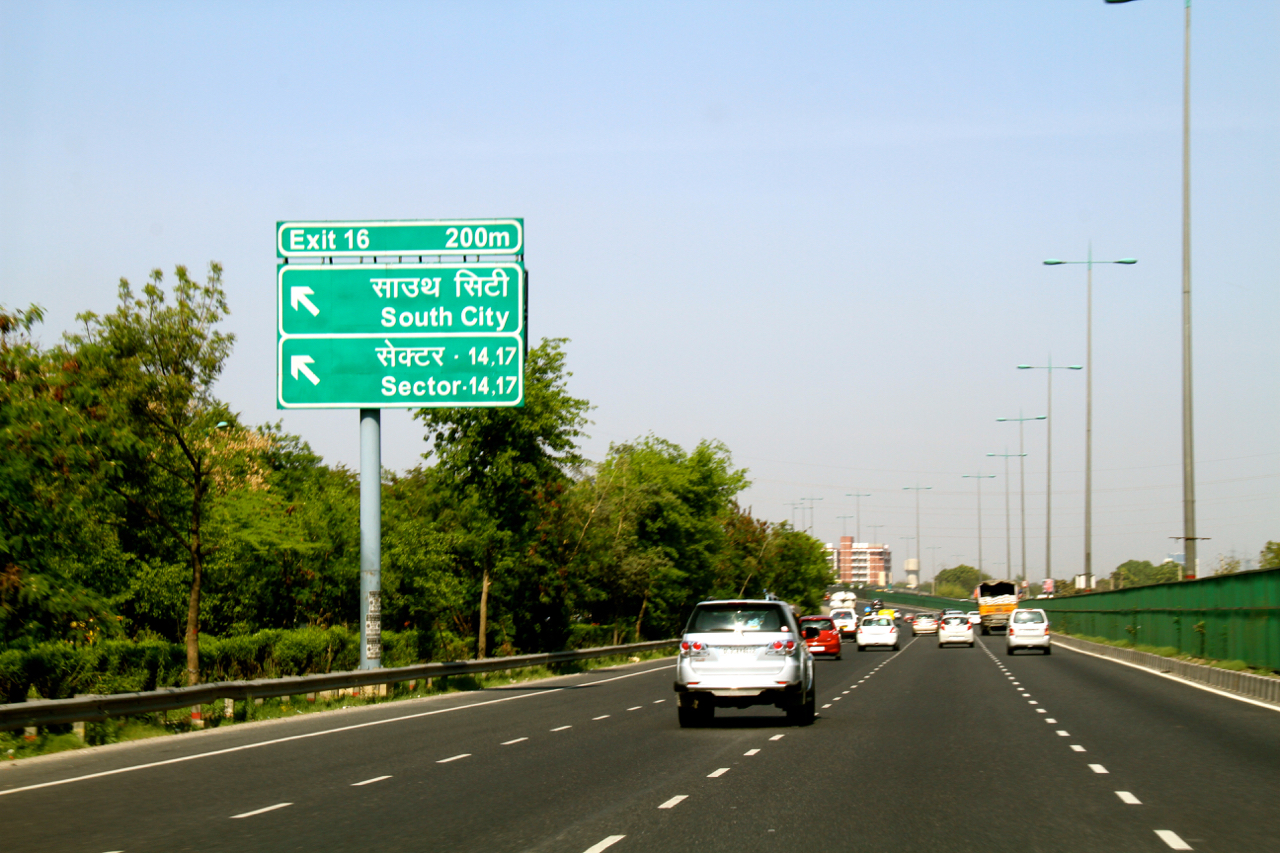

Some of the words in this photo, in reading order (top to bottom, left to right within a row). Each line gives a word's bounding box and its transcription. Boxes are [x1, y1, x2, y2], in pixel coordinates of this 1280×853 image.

[285, 225, 338, 254] Exit
[342, 225, 373, 253] 16
[443, 223, 514, 250] 200m
[370, 272, 445, 300] साउथ
[449, 263, 513, 301] सिटी
[379, 304, 457, 331] South
[459, 304, 512, 331] City
[371, 331, 451, 370] सेक्टर
[465, 343, 520, 371] 14,17
[379, 371, 467, 400] Sector
[468, 372, 522, 399] 14,17